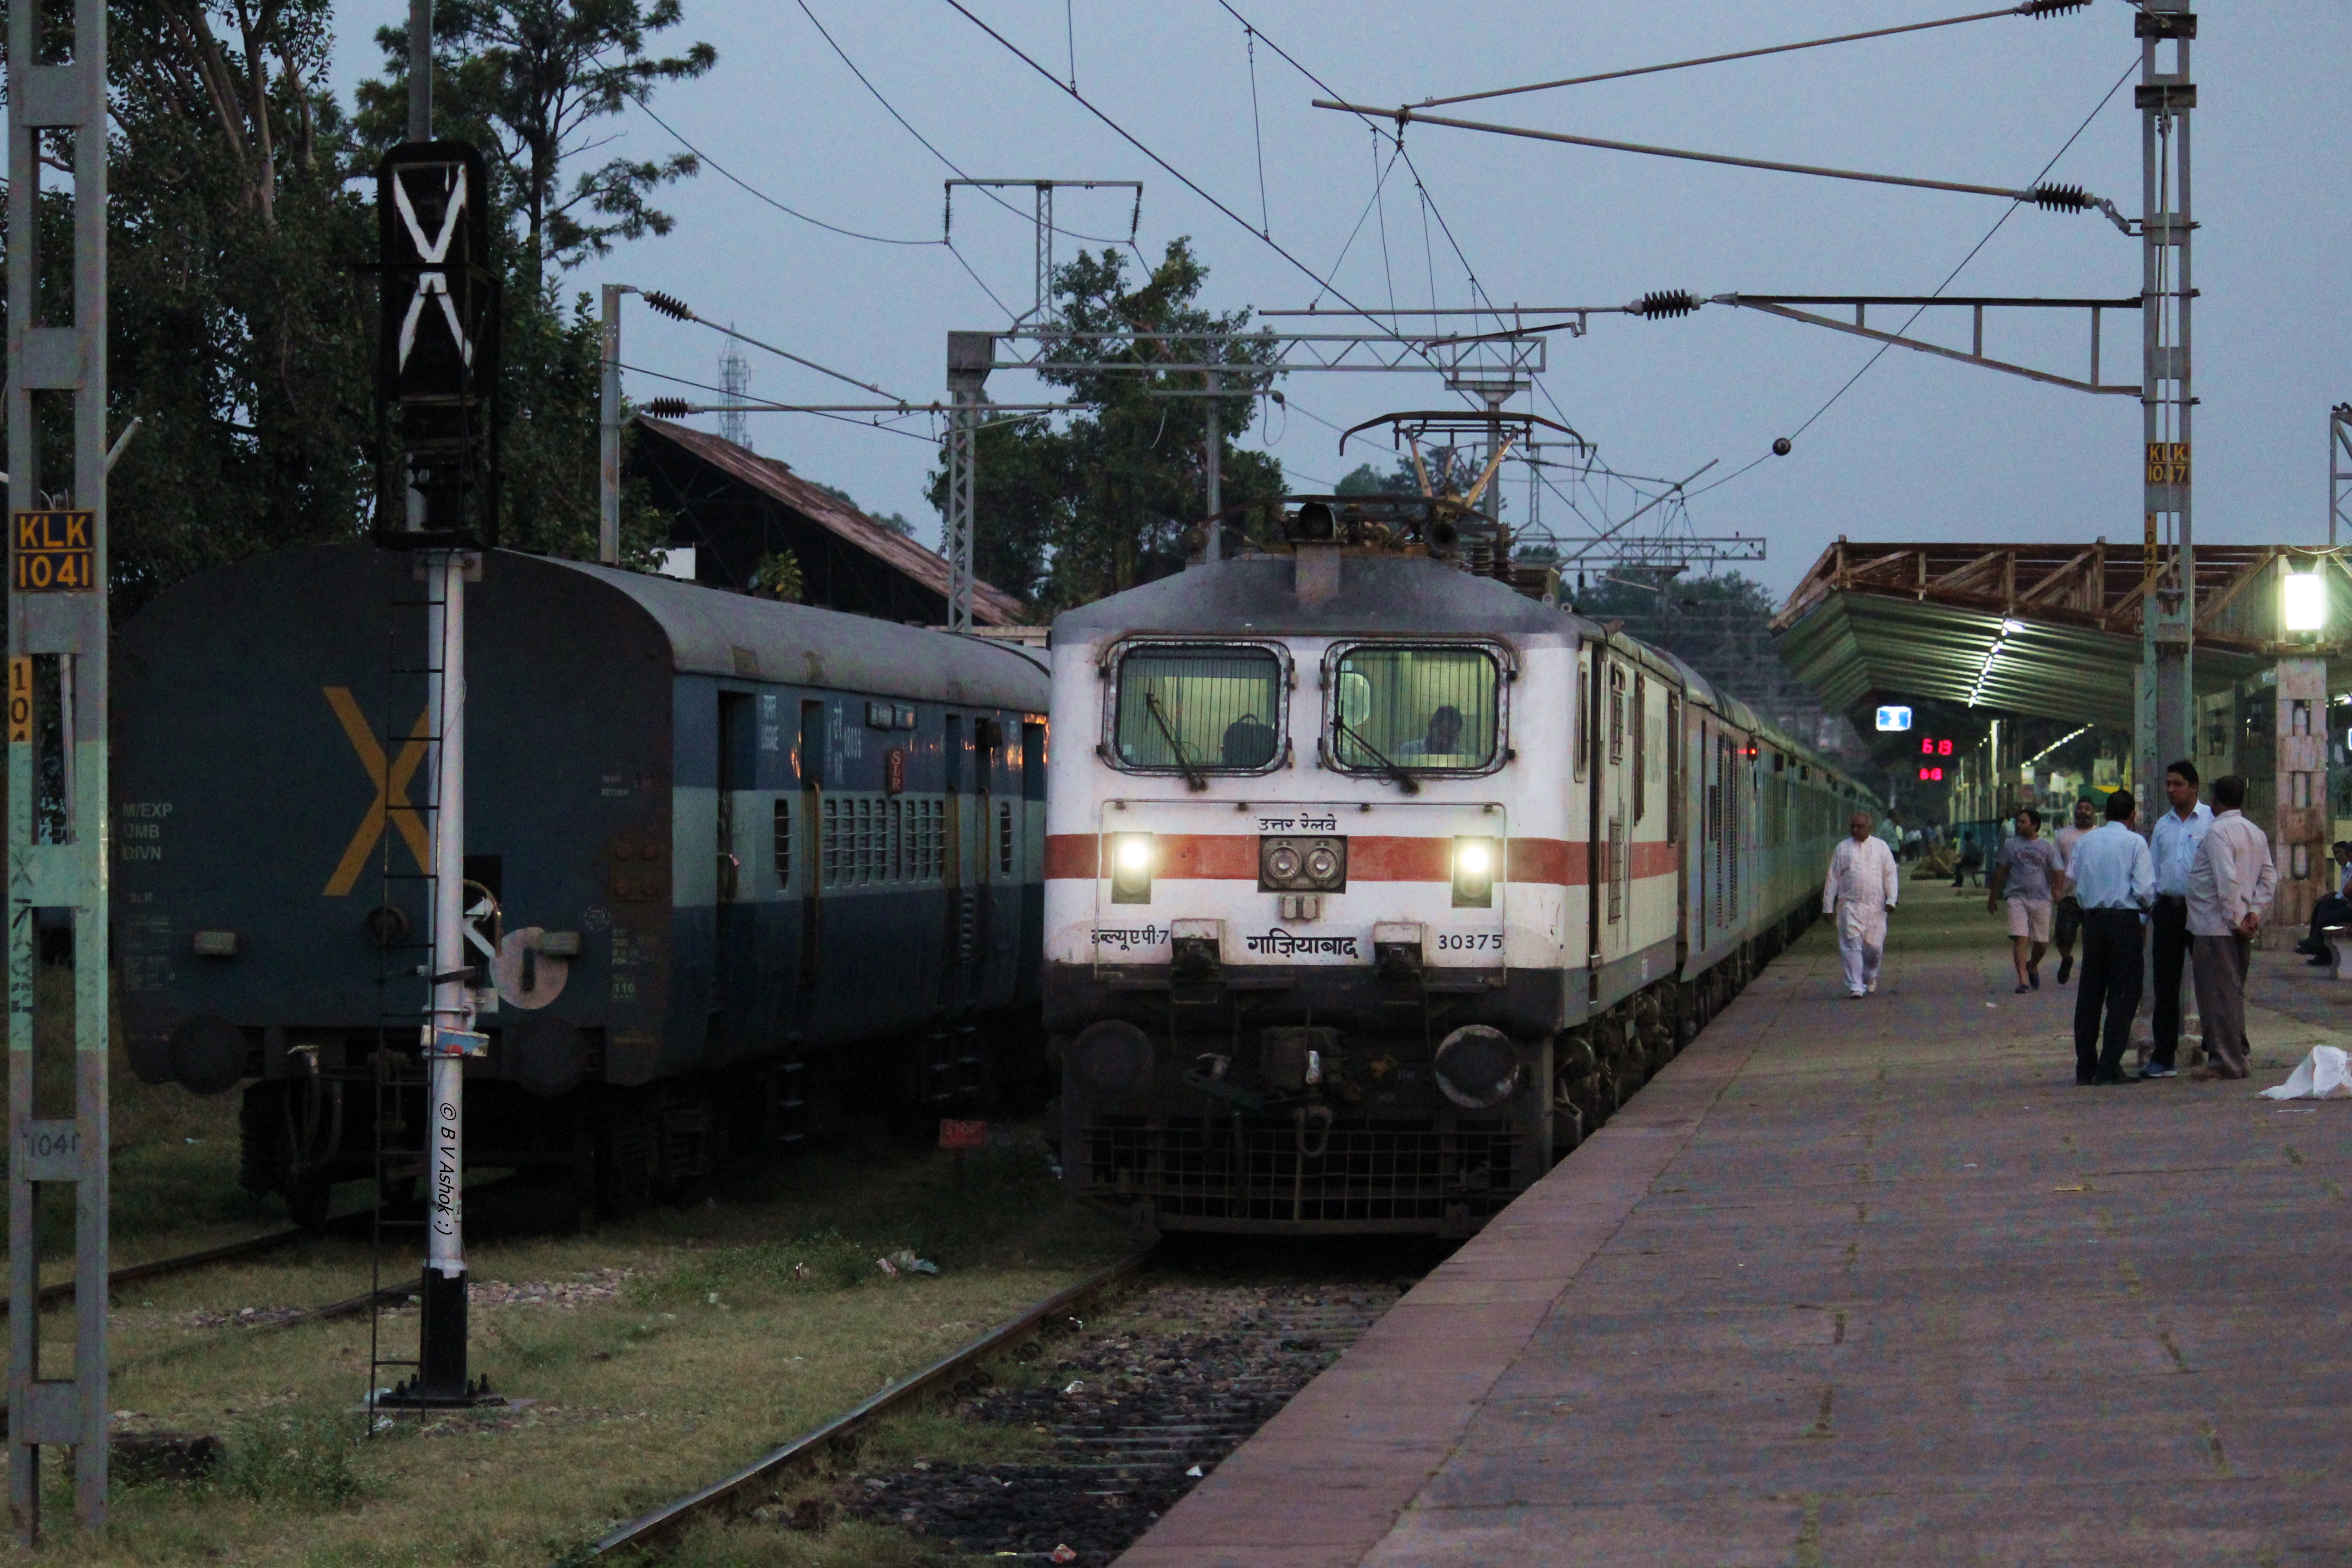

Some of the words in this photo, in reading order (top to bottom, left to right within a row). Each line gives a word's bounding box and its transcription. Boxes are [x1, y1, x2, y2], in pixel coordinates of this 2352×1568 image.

[12, 504, 89, 550] KLK
[12, 549, 95, 590] 1041
[1255, 814, 1298, 837] उत्तर
[1296, 810, 1339, 837] रेलवे
[1088, 920, 1175, 954] डब्ल्यूएपी.7
[1246, 921, 1362, 963] गाज़ियाबाद
[1434, 931, 1504, 956] 30375